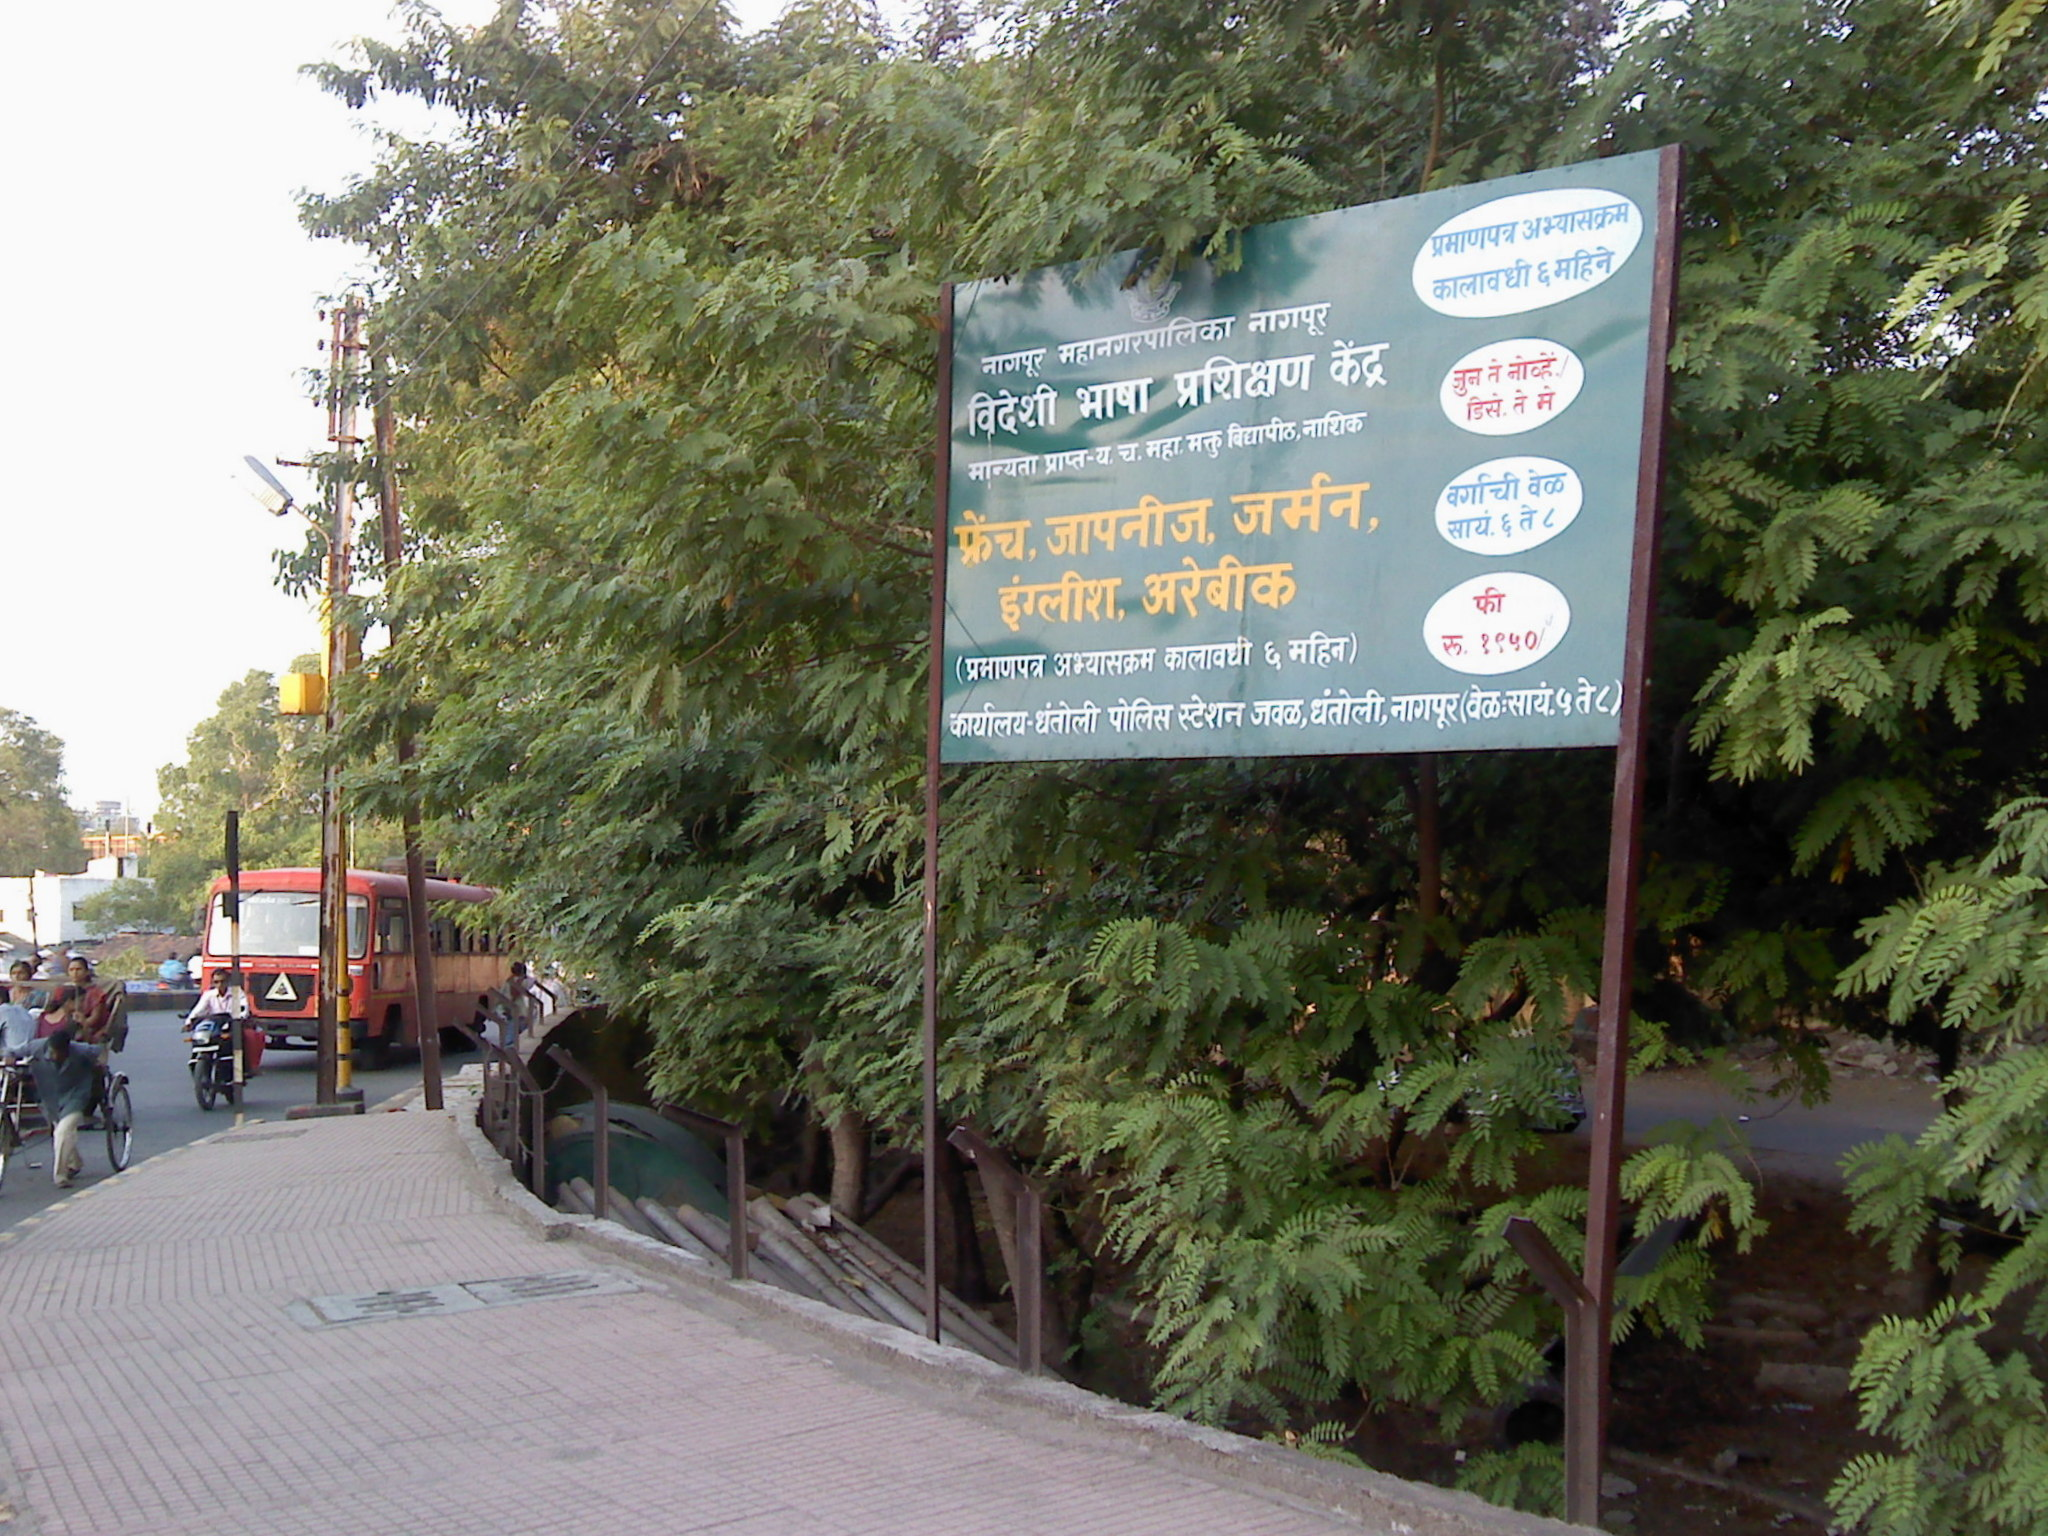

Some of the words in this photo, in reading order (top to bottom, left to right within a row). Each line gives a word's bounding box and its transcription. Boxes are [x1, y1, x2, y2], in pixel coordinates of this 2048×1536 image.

[1428, 218, 1520, 261] प्रमाणपत्र
[1520, 199, 1639, 246] अभ्यासक्रम
[1429, 254, 1534, 307] कालावधी
[1534, 254, 1553, 292] ६
[1551, 243, 1619, 287] महिने
[1246, 297, 1337, 341] नागपूर
[949, 503, 1042, 576] फ्रेंच,
[959, 450, 1039, 485] मान्यता
[963, 379, 1059, 442] विदेशी
[977, 344, 1051, 381] नागपूर
[1039, 443, 1095, 478] प्राप्त-
[1093, 441, 1117, 467] य.
[1071, 372, 1158, 423] भाषा
[1115, 436, 1145, 466] च.
[1041, 488, 1221, 567] जापनीज,
[1054, 309, 1239, 373] महानगरपालिका
[1143, 433, 1187, 466] महा.
[1184, 425, 1225, 465] मक्तु
[1167, 345, 1323, 417] प्रशिक्षण
[1223, 414, 1301, 454] विद्यापीठ,
[1221, 469, 1393, 543] जर्मन,
[1299, 409, 1377, 442] नाशिक
[1327, 335, 1397, 395] केंद्र
[1448, 363, 1486, 405] जुन
[1439, 505, 1498, 546] सायं.
[1441, 465, 1524, 513] वर्गाची
[1462, 387, 1509, 428] डिसे.
[1485, 355, 1506, 389] ते
[1495, 507, 1514, 549] ६
[1510, 387, 1533, 420] ते
[1515, 501, 1541, 541] ते
[1504, 343, 1575, 389] नोव्हें./
[1533, 385, 1559, 415] मे
[1523, 463, 1573, 502] वेळ
[1538, 503, 1565, 531] ८
[987, 561, 1133, 637] इंग्लीश,
[1135, 549, 1303, 624] अरेबीक
[1469, 581, 1513, 621] फी
[951, 649, 1053, 687] (प्रमाणपत्र
[1052, 645, 1161, 679] अभ्यासक्रम
[1162, 631, 1257, 673] कालावधी
[1257, 631, 1291, 675] ६
[1285, 626, 1363, 673] महिन)
[1433, 623, 1475, 664] रु.
[1475, 625, 1555, 663] १९५०/
[943, 695, 1035, 744] कार्यालय -
[1034, 696, 1106, 741] धंतोली
[1103, 693, 1177, 740] पोलिस
[1173, 689, 1249, 743] स्टेशन
[1247, 692, 1311, 736] जवळ,
[1307, 683, 1393, 735] धंतोली,
[1388, 689, 1462, 733] नागपूर
[1459, 669, 1623, 732] (वेळ : सायं.५ ते ८)